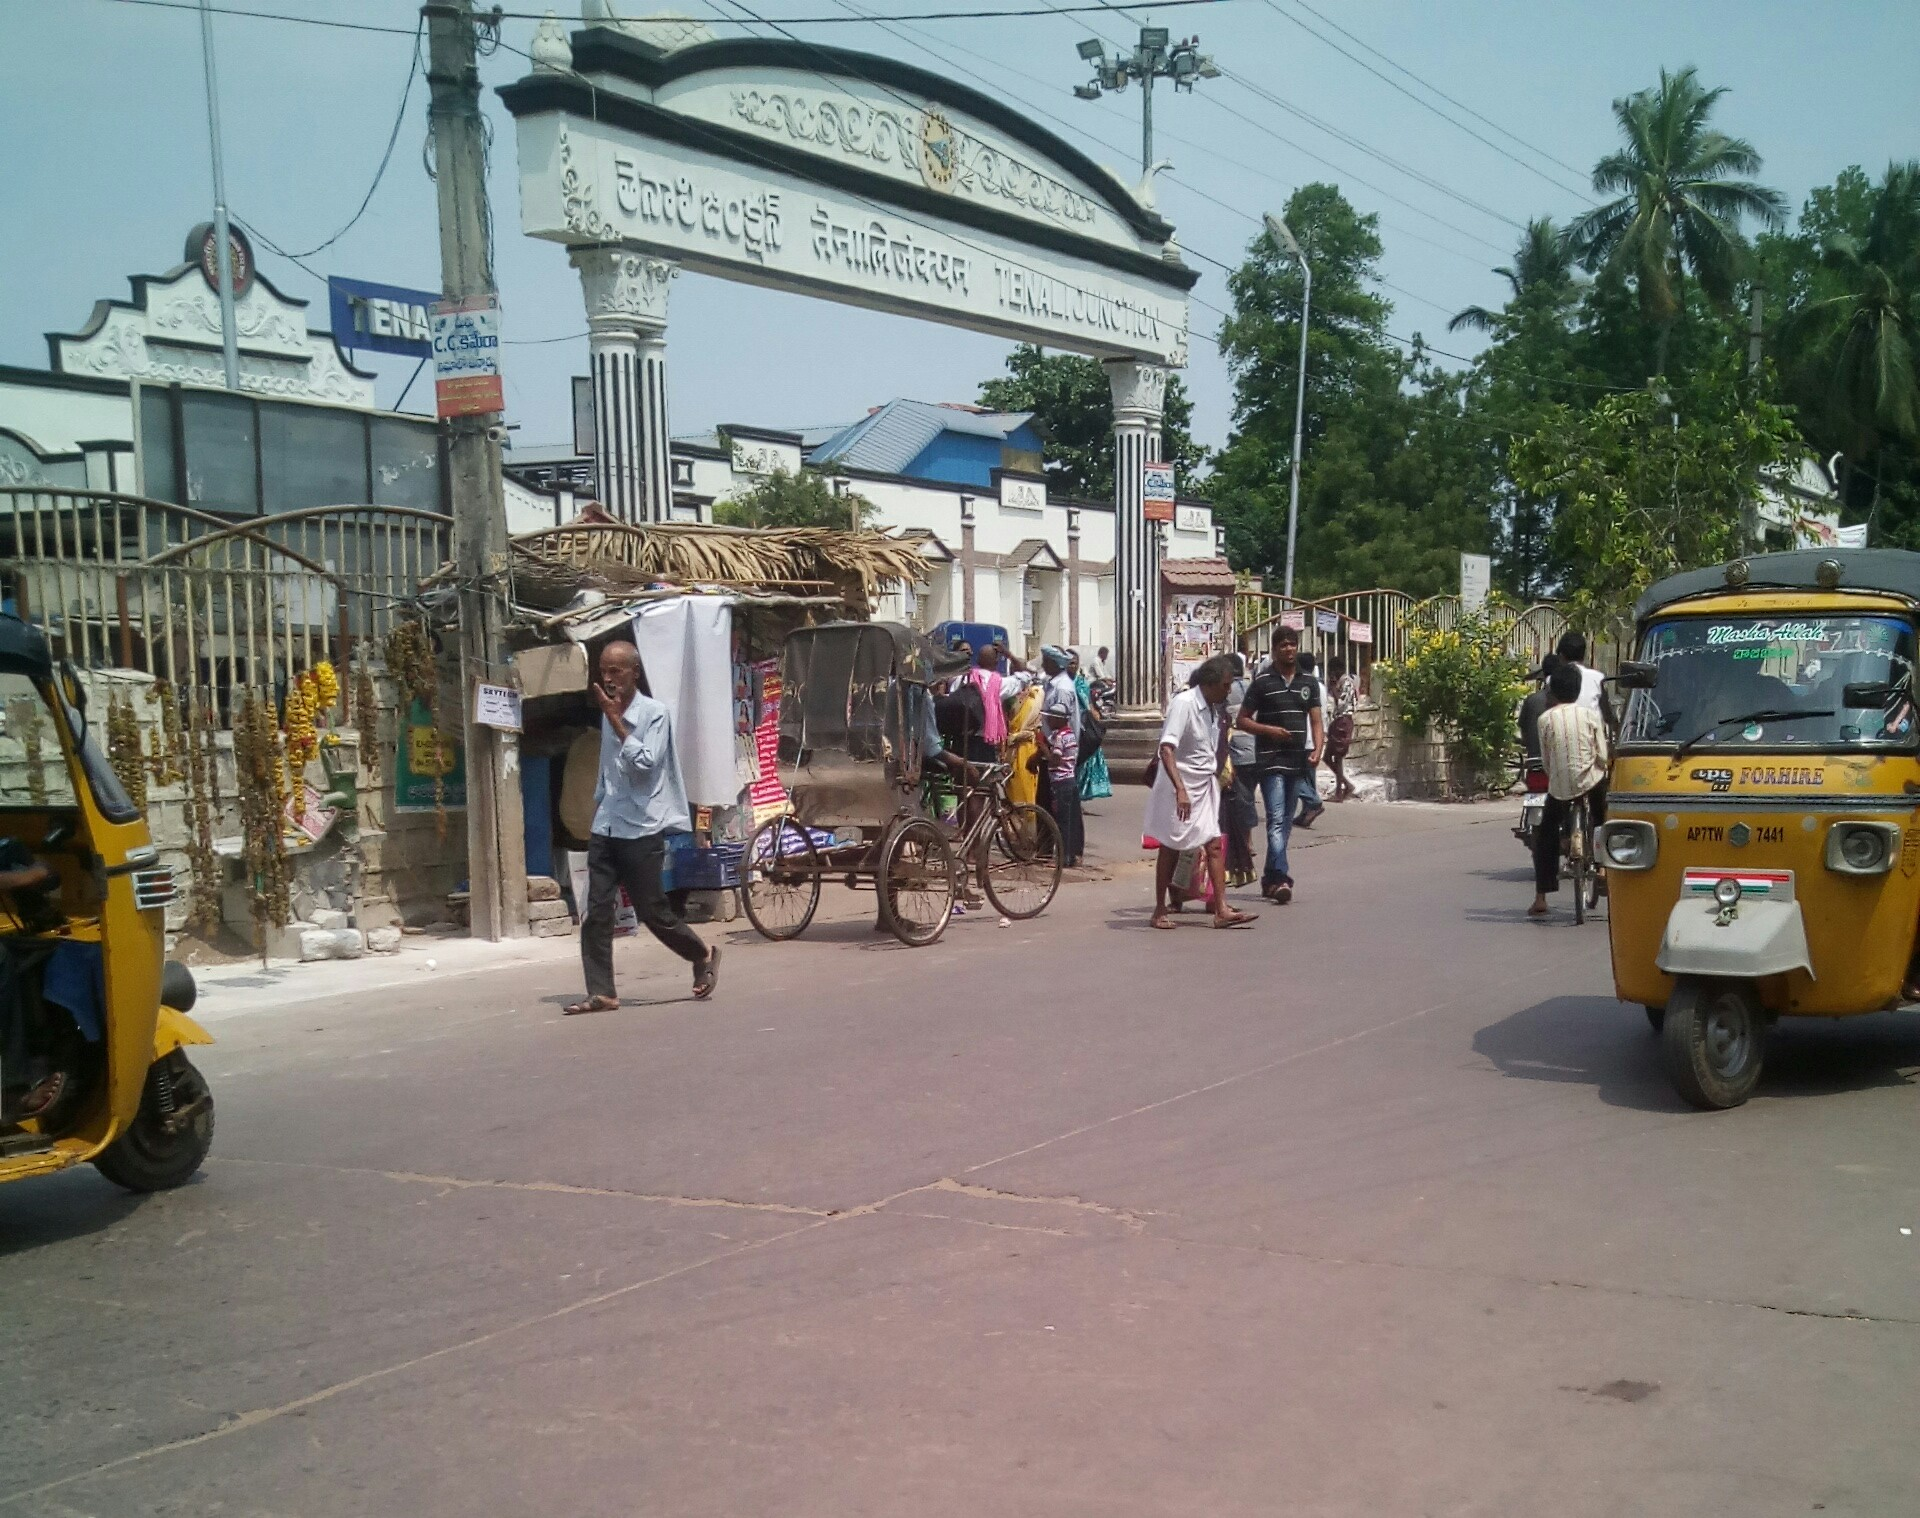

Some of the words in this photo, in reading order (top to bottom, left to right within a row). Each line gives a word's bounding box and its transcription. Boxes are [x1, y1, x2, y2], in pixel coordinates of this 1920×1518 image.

[610, 149, 786, 265] తెనాలి జంక్షన్
[801, 197, 975, 297] तेनालिजंक्षन
[345, 287, 440, 346] ENA
[992, 260, 1165, 346] TENALIOURCTION
[1703, 617, 1830, 643] MashaAllah
[1735, 761, 1827, 790] FORHIRE